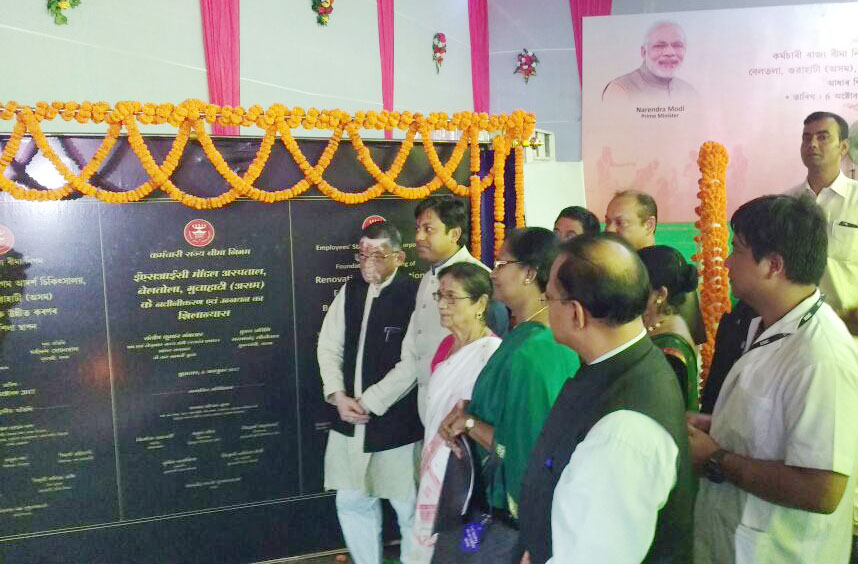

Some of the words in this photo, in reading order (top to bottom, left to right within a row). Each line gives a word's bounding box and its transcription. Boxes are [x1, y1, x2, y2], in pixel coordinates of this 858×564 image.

[765, 41, 807, 68] কৰ্মচাৰী
[741, 61, 785, 83] বেলতলা
[633, 99, 670, 117] Narendra
[665, 100, 691, 115] Modi
[145, 241, 186, 265] कर्मचारी
[181, 245, 211, 263] राज्य
[205, 243, 232, 259] बीमा
[222, 240, 254, 260] निगम
[132, 277, 187, 299] बेलतोला,
[129, 264, 191, 288] ईएसआईसी
[185, 261, 224, 284] मॉडल:
[181, 275, 231, 299] गुवाहाटी
[217, 263, 268, 281] अस्पताल,
[230, 275, 265, 294] (असम)
[136, 292, 162, 314] के
[149, 291, 209, 313] नवीनीकरण
[171, 303, 234, 325] शिलान्यास